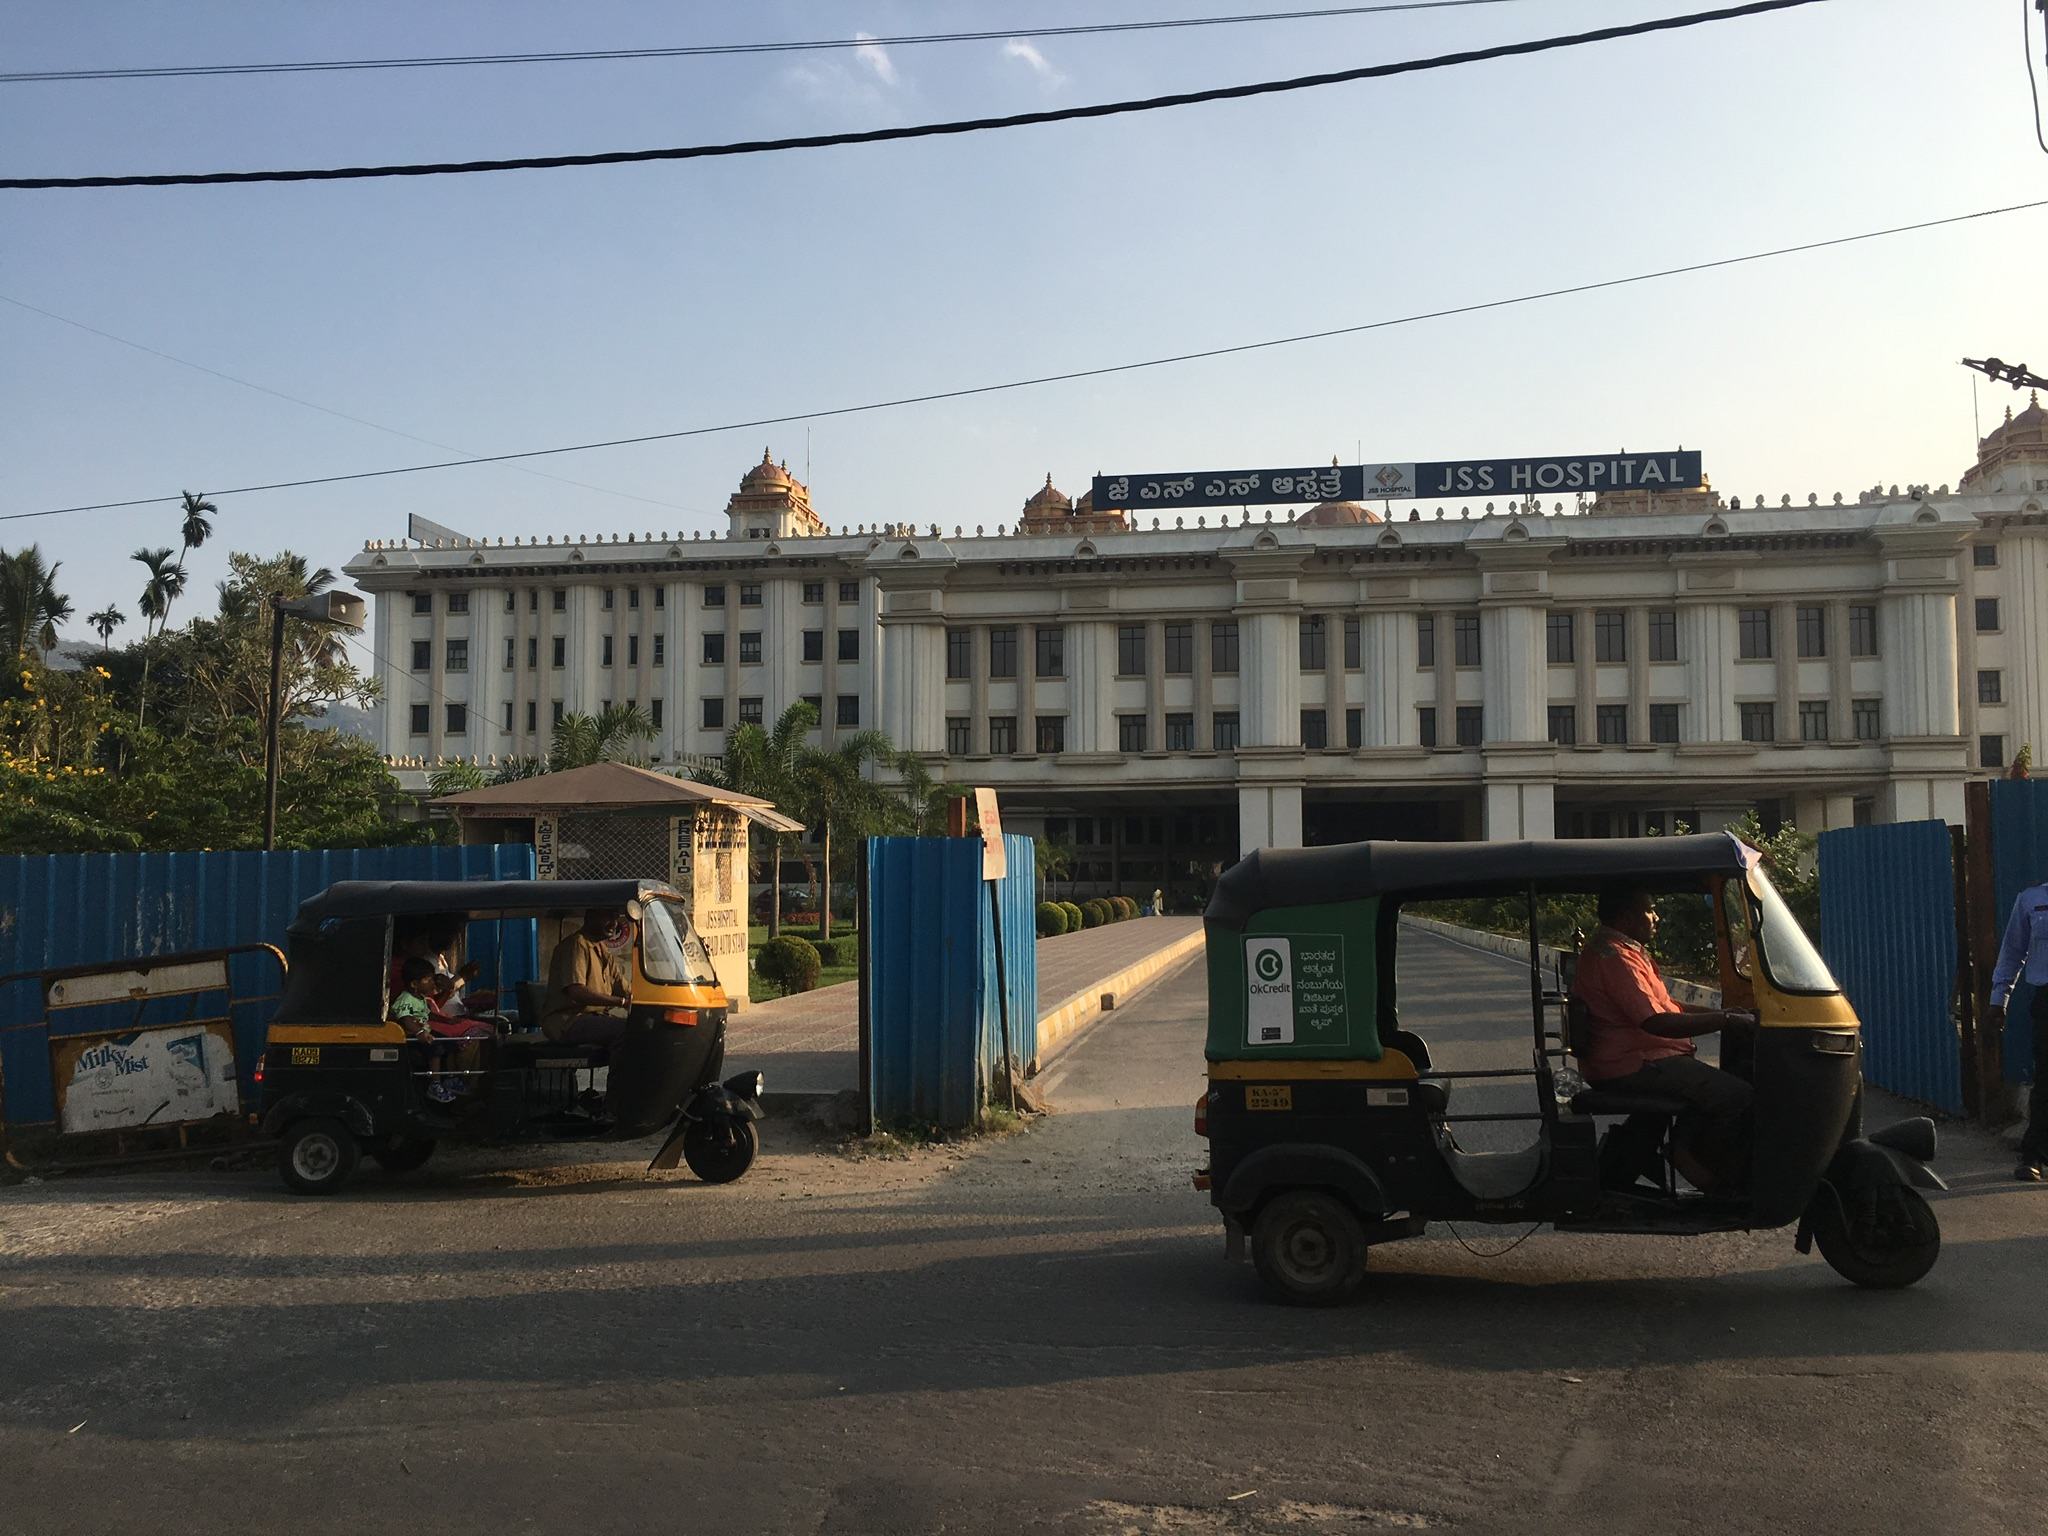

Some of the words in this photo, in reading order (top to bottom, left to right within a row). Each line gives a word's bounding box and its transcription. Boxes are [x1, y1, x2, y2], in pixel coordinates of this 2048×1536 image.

[1100, 465, 1135, 505] ಜೆ
[1135, 472, 1198, 505] ಎಸ್
[1203, 471, 1263, 503] ಎಸ್
[1265, 463, 1349, 505] ಆಸ್ಪತ್ರೆ
[1361, 483, 1383, 499] J55
[1375, 481, 1413, 495] HOSPITAL
[1432, 459, 1499, 498] JSS
[1506, 452, 1687, 493] HOSPITAL
[1295, 943, 1341, 963] ಭಾರತದ
[1297, 958, 1339, 979] ಅತ್ಯಂತ
[1243, 979, 1293, 1000] OkCredit
[1293, 1000, 1321, 1019] ಖಾತ
[1297, 985, 1339, 1007] ಡಿಜಟಲ್
[1295, 972, 1347, 995] ನಂಬುಗೆಯ
[1317, 995, 1348, 1020] ಪುಸ್ತಕ
[1306, 1015, 1335, 1033] ಆ್ಯಪ್